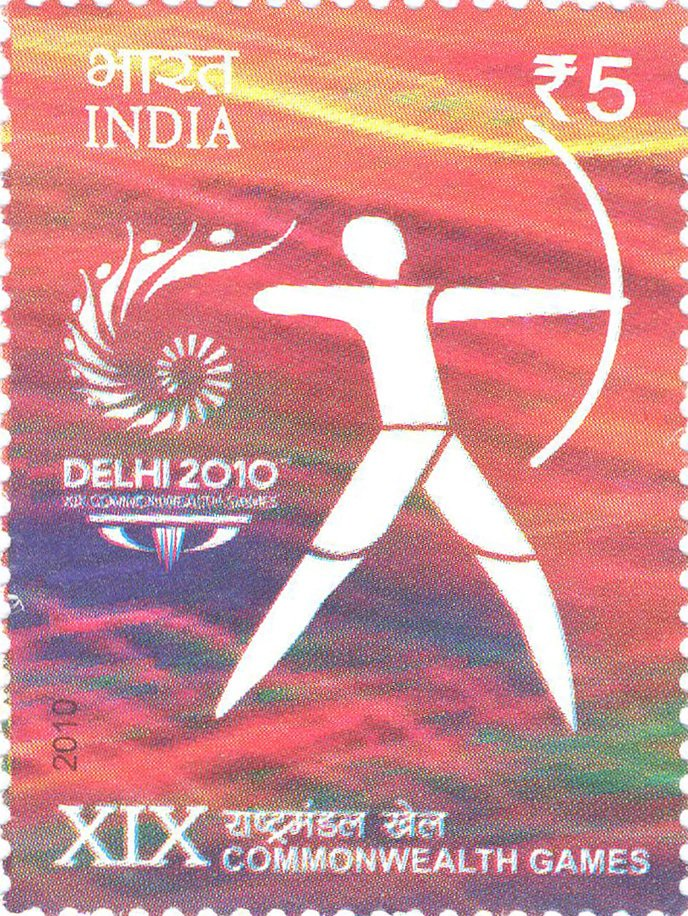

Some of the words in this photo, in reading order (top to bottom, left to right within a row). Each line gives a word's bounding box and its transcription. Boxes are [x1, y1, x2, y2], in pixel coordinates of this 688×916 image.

[81, 43, 240, 103] भारत
[523, 43, 643, 129] ₹5
[83, 102, 245, 151] INDIA
[57, 453, 173, 493] DELHI
[177, 454, 281, 491] 2010
[51, 800, 213, 871] XIX
[221, 793, 375, 850] राष्ट्रमंडल
[215, 841, 521, 879] COMMONWEALTH
[379, 791, 449, 841] खेल
[525, 843, 659, 881] GAMES